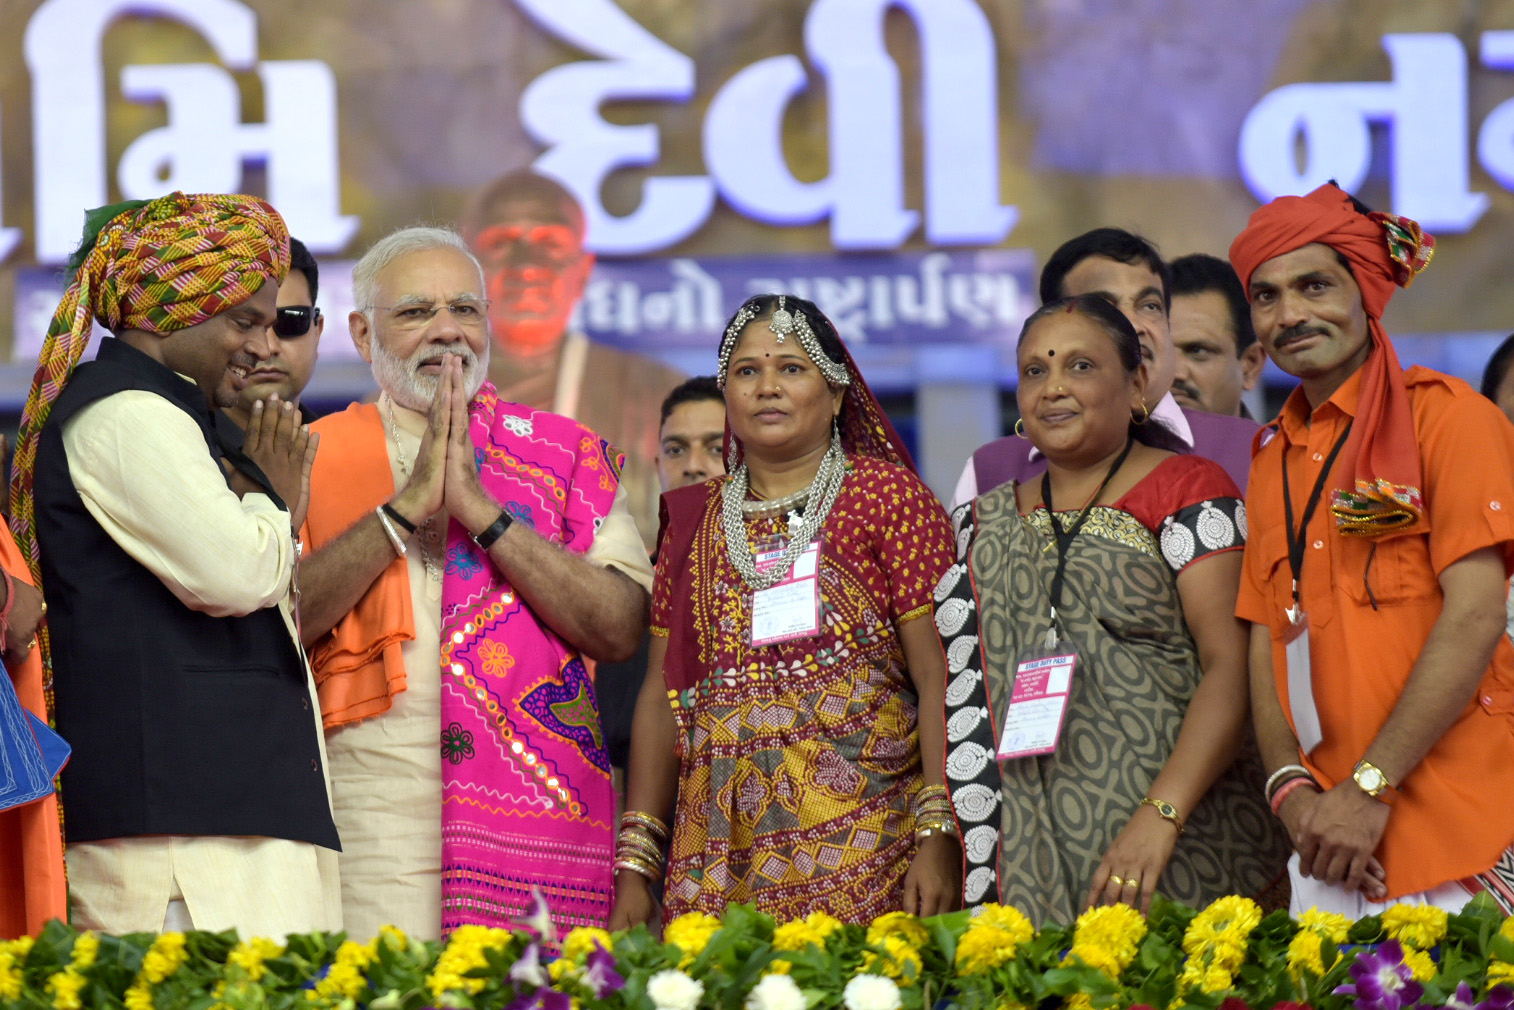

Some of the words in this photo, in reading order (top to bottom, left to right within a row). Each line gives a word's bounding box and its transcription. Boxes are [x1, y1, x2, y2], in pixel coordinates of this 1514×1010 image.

[10, 0, 374, 270] મિ
[492, 0, 1030, 262] દેવી
[1224, 24, 1500, 242] ન
[574, 252, 730, 338] ઘનો
[812, 244, 1028, 346] ષ્ટાર્પણ